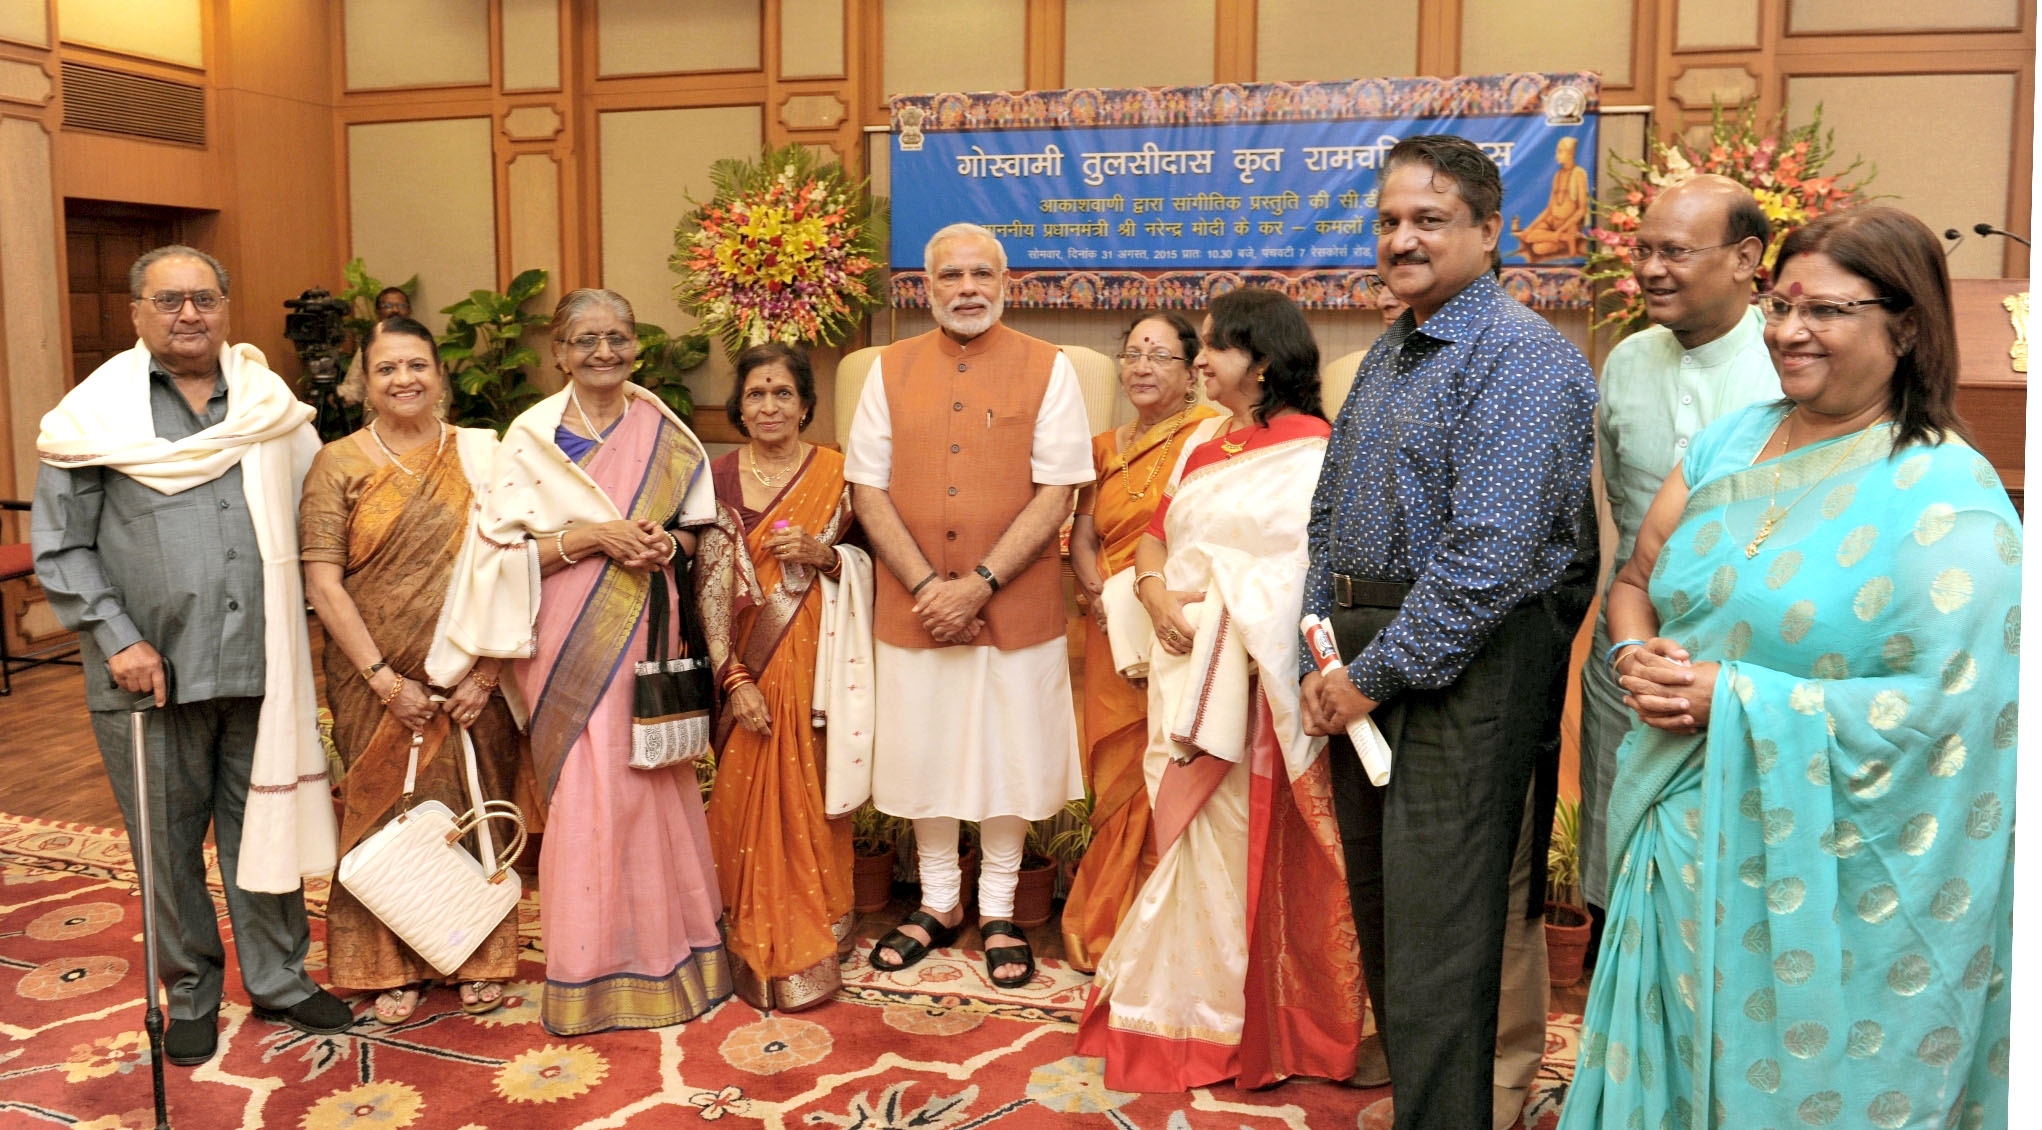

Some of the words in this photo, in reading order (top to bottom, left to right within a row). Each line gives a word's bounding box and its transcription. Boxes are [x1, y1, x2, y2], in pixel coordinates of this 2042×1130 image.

[953, 143, 1064, 178] गोस्वामी
[1077, 133, 1220, 192] तुलसीदास
[1231, 142, 1287, 187] कृत
[1303, 127, 1517, 176] रामचस
[1035, 186, 1129, 217] आकाशवाणी
[1129, 192, 1165, 215] द्वारा
[1167, 187, 1244, 215] सांगीतिक
[1245, 183, 1305, 221] प्रस्‍तुति
[1302, 182, 1335, 211] की
[1335, 179, 1385, 215] सी.डी
[975, 211, 1039, 245] ननीय
[1038, 214, 1115, 245] प्रधानमंत्री
[1114, 209, 1140, 241] श्री
[1141, 210, 1187, 239] नरेन्द्र
[1188, 216, 1226, 238] मोदी
[1226, 216, 1255, 240] के
[1252, 218, 1287, 240] क‍र
[1311, 207, 1368, 239] कमलों
[1019, 241, 1065, 267] सोमवार
[1061, 239, 1101, 264] दिनांक
[1097, 246, 1117, 263] 31
[1114, 243, 1150, 265] अगस्त
[1145, 242, 1180, 265] 2015
[1176, 242, 1204, 263] प्रातः
[1201, 244, 1237, 263] 10.30
[1231, 239, 1260, 265] बजे़
[1255, 239, 1299, 263] पंचवटी
[1301, 236, 1352, 263] रेसकोर्स
[1348, 239, 1375, 263] रोड